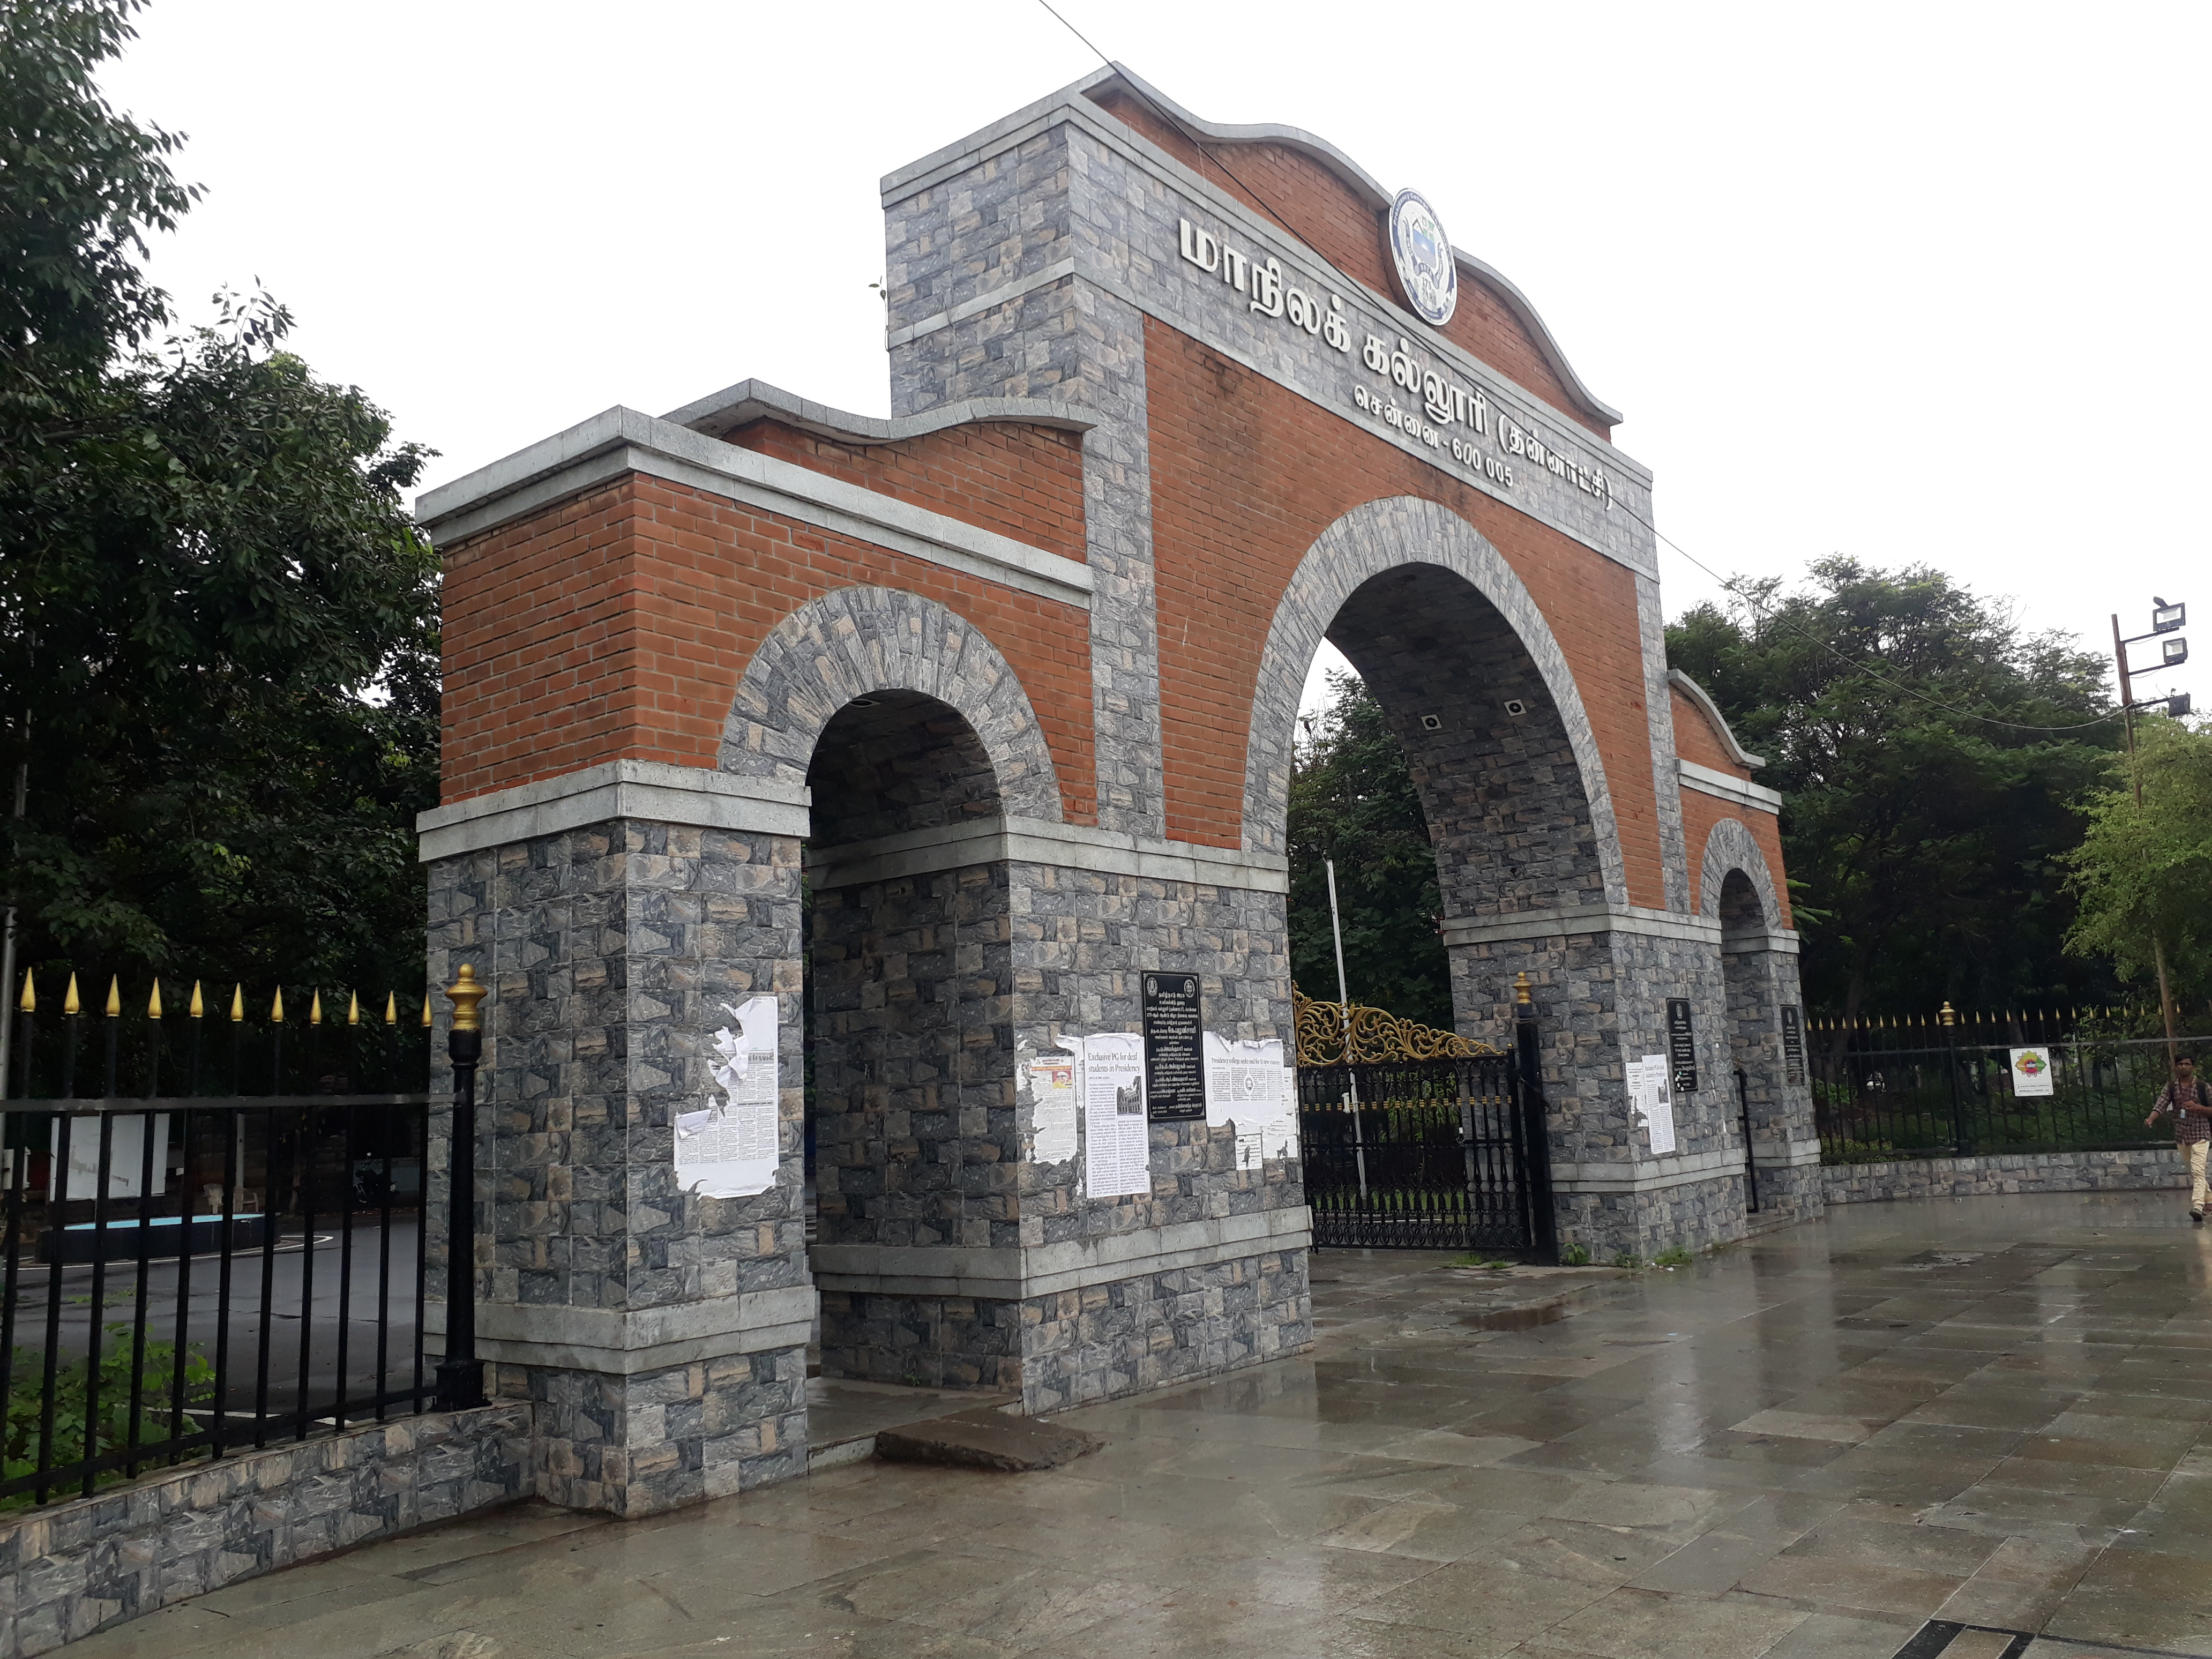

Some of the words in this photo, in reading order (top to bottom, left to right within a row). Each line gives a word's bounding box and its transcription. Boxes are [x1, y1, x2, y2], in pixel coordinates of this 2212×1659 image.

[1175, 214, 1354, 357] மாநிலக்
[1357, 326, 1491, 439] கல்லூாி
[1349, 380, 1441, 451] சென்னன
[1446, 435, 1515, 490] 600005
[1503, 422, 1616, 513] தன்னாட்சி)
[1086, 1049, 1113, 1063] Exclusive
[1109, 1049, 1122, 1063] PC
[1117, 1050, 1129, 1063] for
[1124, 1049, 1141, 1065] deaf
[1209, 1054, 1231, 1066] Presidency
[1085, 1062, 1111, 1074] students
[1107, 1064, 1117, 1074] in
[1116, 1062, 1142, 1075] residency